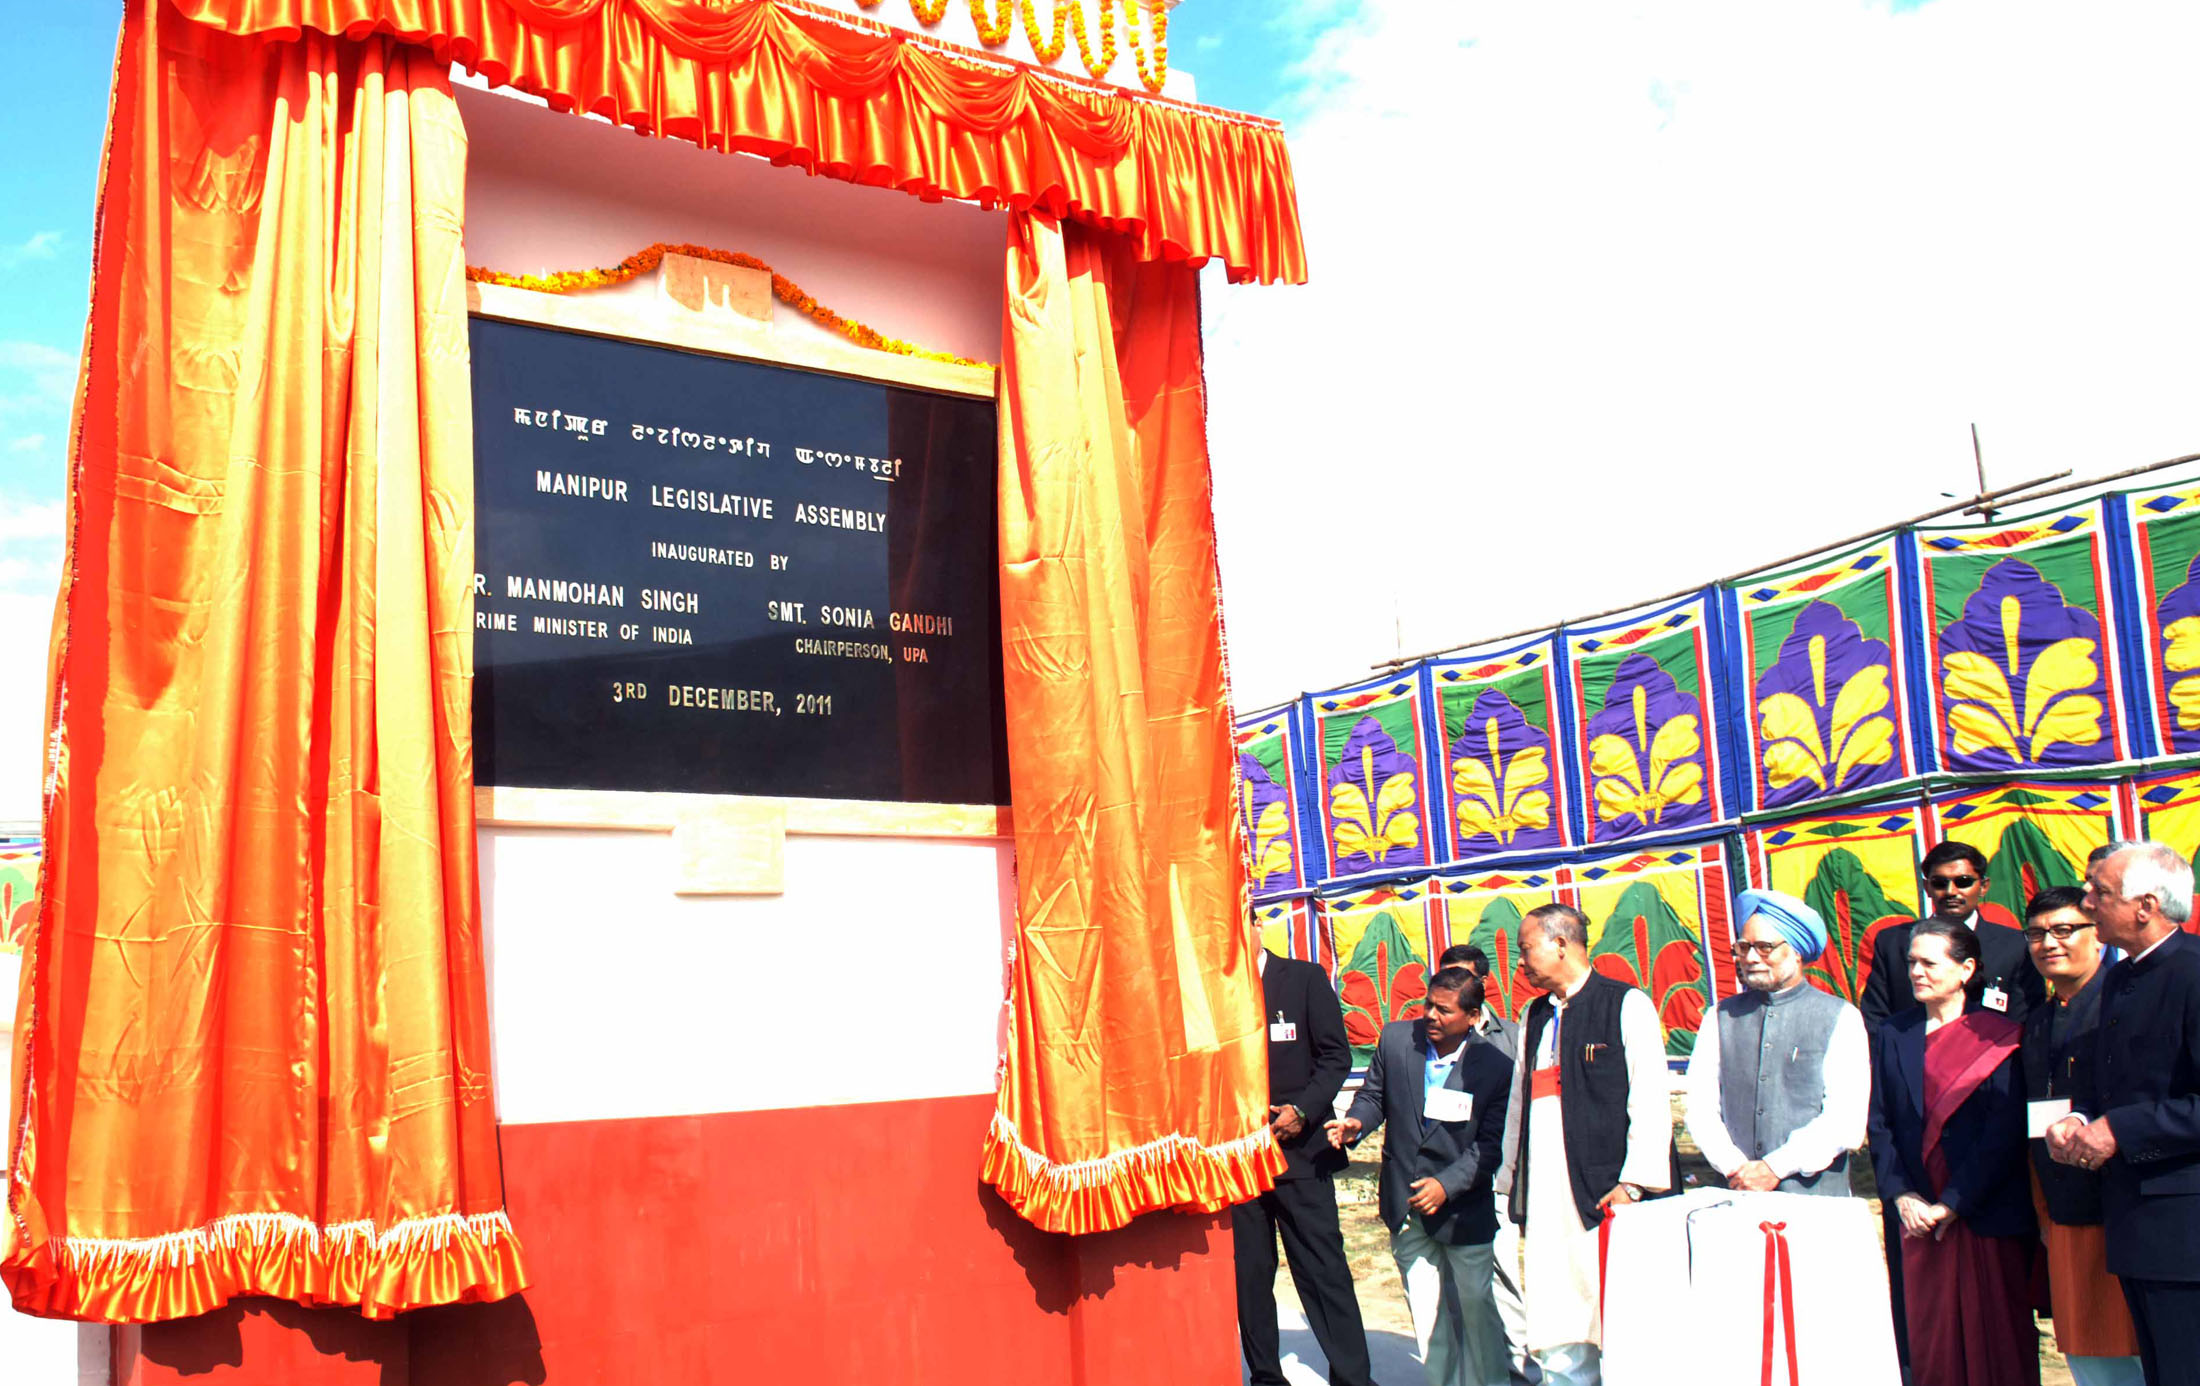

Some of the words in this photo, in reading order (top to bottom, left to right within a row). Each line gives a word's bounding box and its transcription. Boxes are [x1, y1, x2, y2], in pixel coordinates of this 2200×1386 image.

[507, 403, 608, 443] ꯃꯅꯤꯄꯨꯔ
[628, 420, 771, 459] ꯂꯦꯖꯤꯁꯂꯦꯇꯤꯚ
[792, 443, 905, 480] ꯑꯦꯁꯦꯝꯕꯂꯤ
[530, 465, 632, 508] MANIPUR
[647, 480, 775, 524] LEGISLATIVE
[790, 499, 886, 533] ASSEMBLY
[647, 537, 754, 572] INAUGURATED
[762, 548, 795, 580] BY
[472, 608, 520, 637] RIME
[502, 572, 628, 612] MANMOHAN
[528, 612, 608, 642] MINISTER
[609, 616, 643, 646] OF
[632, 580, 706, 620] SINGH
[647, 621, 697, 650] INDIA
[762, 595, 810, 629] SMT.
[790, 633, 890, 663] CHAIRPERSON
[814, 601, 877, 633] SONIA
[900, 637, 936, 669] UPA
[881, 603, 958, 642] GANDHI
[609, 678, 650, 708] 3RD
[663, 679, 783, 718] DECEMBER,
[788, 685, 836, 721] 2011